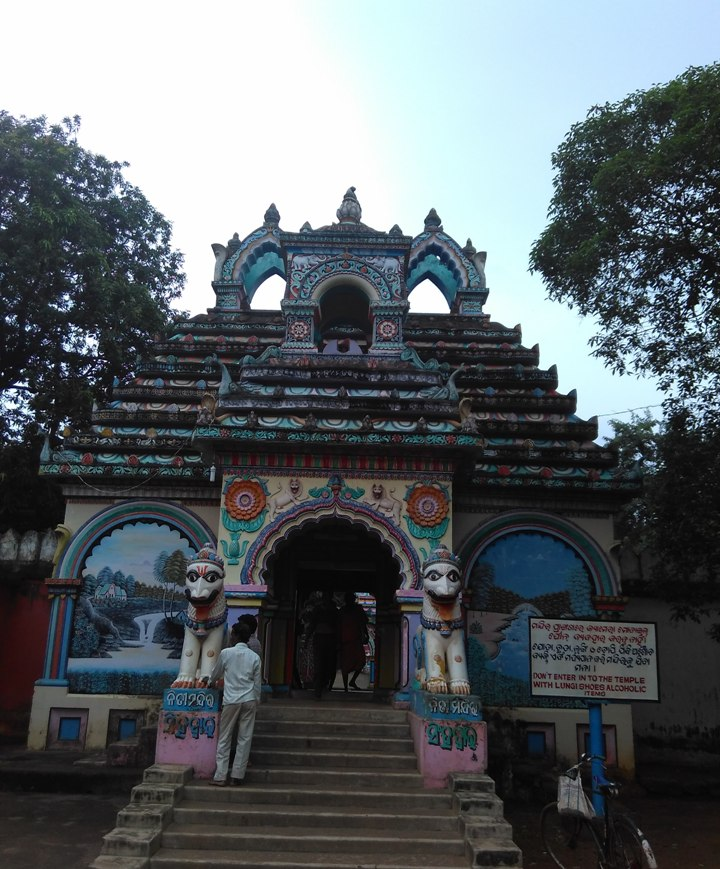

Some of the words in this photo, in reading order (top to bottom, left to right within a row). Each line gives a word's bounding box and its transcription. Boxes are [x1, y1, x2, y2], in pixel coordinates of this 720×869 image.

[525, 668, 557, 683] DON
[529, 676, 556, 692] WITH
[551, 669, 579, 684] ENTER
[553, 677, 582, 692] LUNGI
[568, 671, 591, 686] IN
[581, 668, 603, 689] TOT
[589, 670, 613, 687] OTHE
[601, 681, 650, 694] ALCOHOLIC
[611, 672, 648, 687] TEMPLE
[160, 685, 218, 709] ନିତୀମନ୍ଦିର